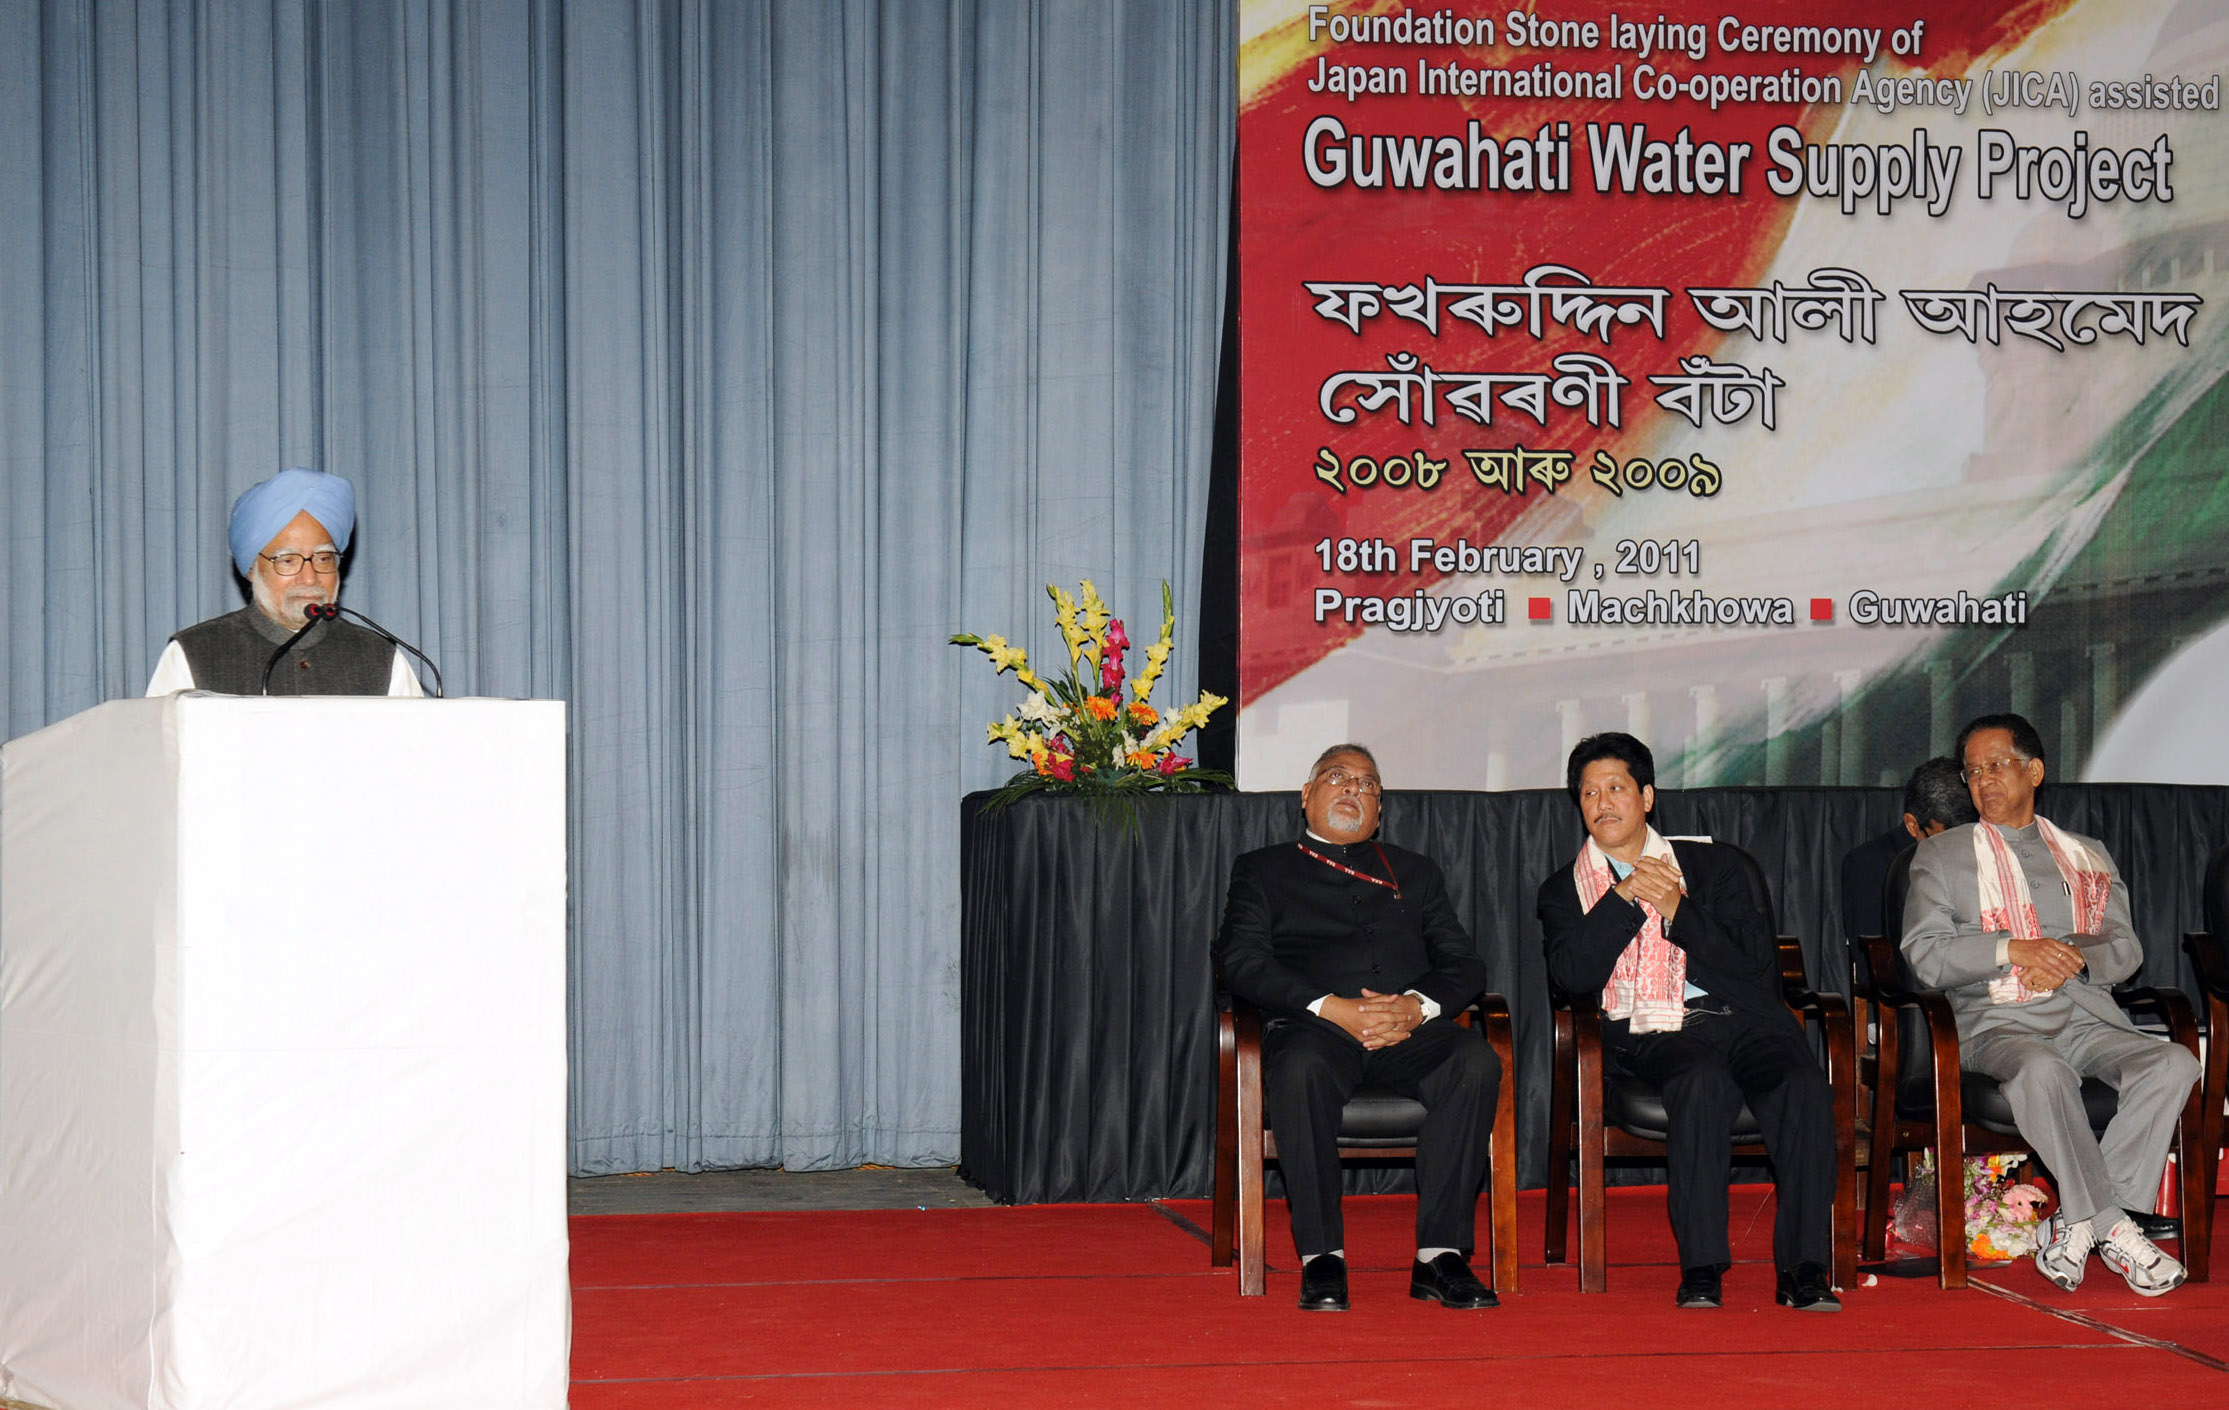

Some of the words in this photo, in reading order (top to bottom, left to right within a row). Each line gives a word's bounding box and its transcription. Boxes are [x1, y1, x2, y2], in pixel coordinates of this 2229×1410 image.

[1304, 1, 1501, 50] Foundation
[1499, 8, 1600, 56] Stone
[1603, 9, 1713, 68] laying
[1714, 5, 1889, 71] Ceremony
[1887, 7, 1930, 62] of
[1308, 56, 1412, 102] Japan
[1411, 55, 1627, 103] International
[1627, 57, 1846, 113] Co-operation
[1841, 67, 1981, 119] Agency
[1977, 61, 2086, 121] (JICA)
[2083, 65, 2223, 114] assisted
[1292, 106, 1575, 198] Guwahati
[1581, 115, 1756, 205] Water
[1758, 117, 1962, 222] Supply
[1971, 125, 2180, 220] Project
[1303, 253, 1672, 347] ফখৰুদ্দিন
[1687, 266, 1884, 354] আলী
[1894, 278, 2210, 355] আহমেদ
[1315, 338, 1634, 431] সোঁৱৰণী
[1642, 349, 1795, 435] বঁটা
[1310, 441, 1448, 496] ২০০৮
[1461, 444, 1576, 496] আৰু
[1585, 441, 1732, 505] ২০০৯
[1311, 529, 1407, 582] 18th
[1406, 530, 1589, 591] February
[1610, 531, 1707, 579] 2011
[1308, 582, 1511, 634] Pragjyoti
[1563, 581, 1799, 629] Machkhowa
[1841, 579, 2032, 629] Guwahati